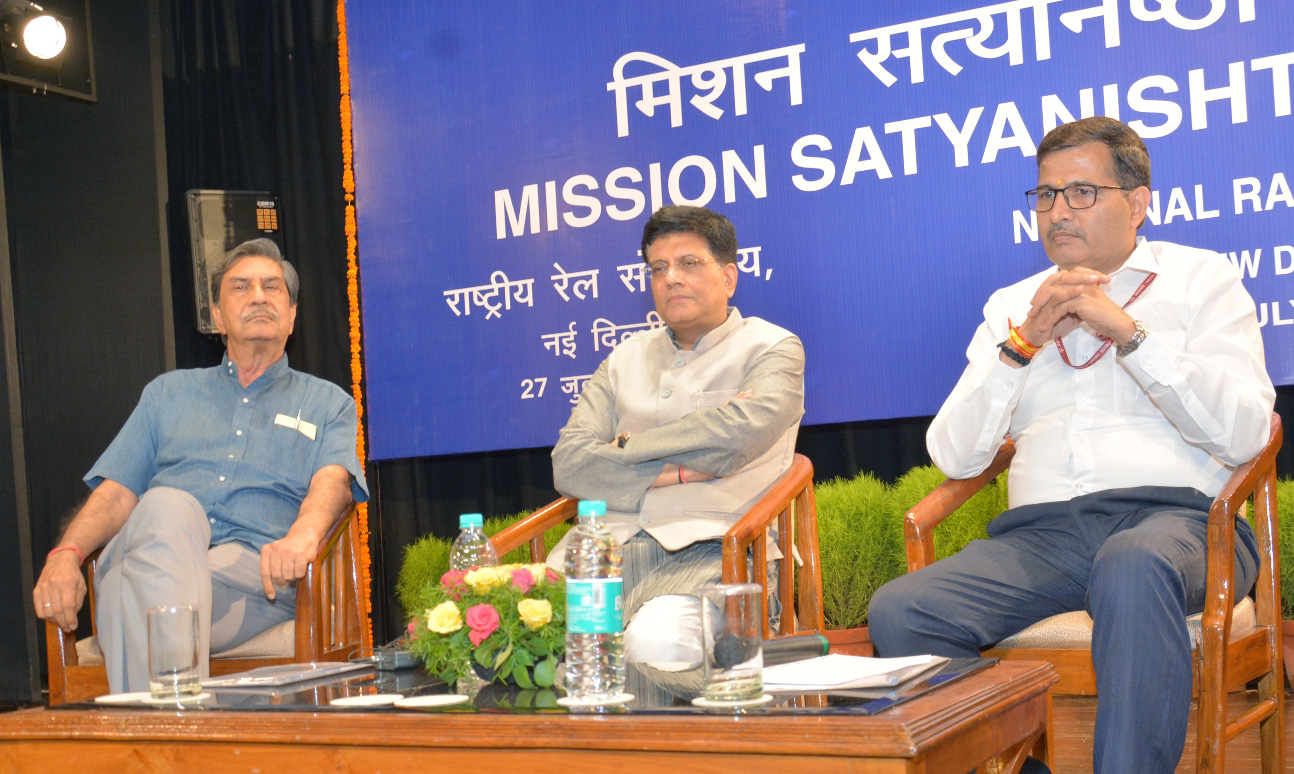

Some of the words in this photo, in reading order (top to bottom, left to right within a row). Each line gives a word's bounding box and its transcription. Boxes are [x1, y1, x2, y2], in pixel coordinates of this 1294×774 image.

[489, 139, 772, 243] MISSION
[599, 39, 811, 140] मिशन
[784, 96, 1041, 201] SATYA
[847, 2, 1124, 96] सत्यान
[1041, 45, 1291, 170] NISHT
[443, 265, 538, 320] राष्ट्रीय
[515, 371, 549, 401] 27
[535, 316, 582, 363] नई
[548, 254, 600, 306] रेल